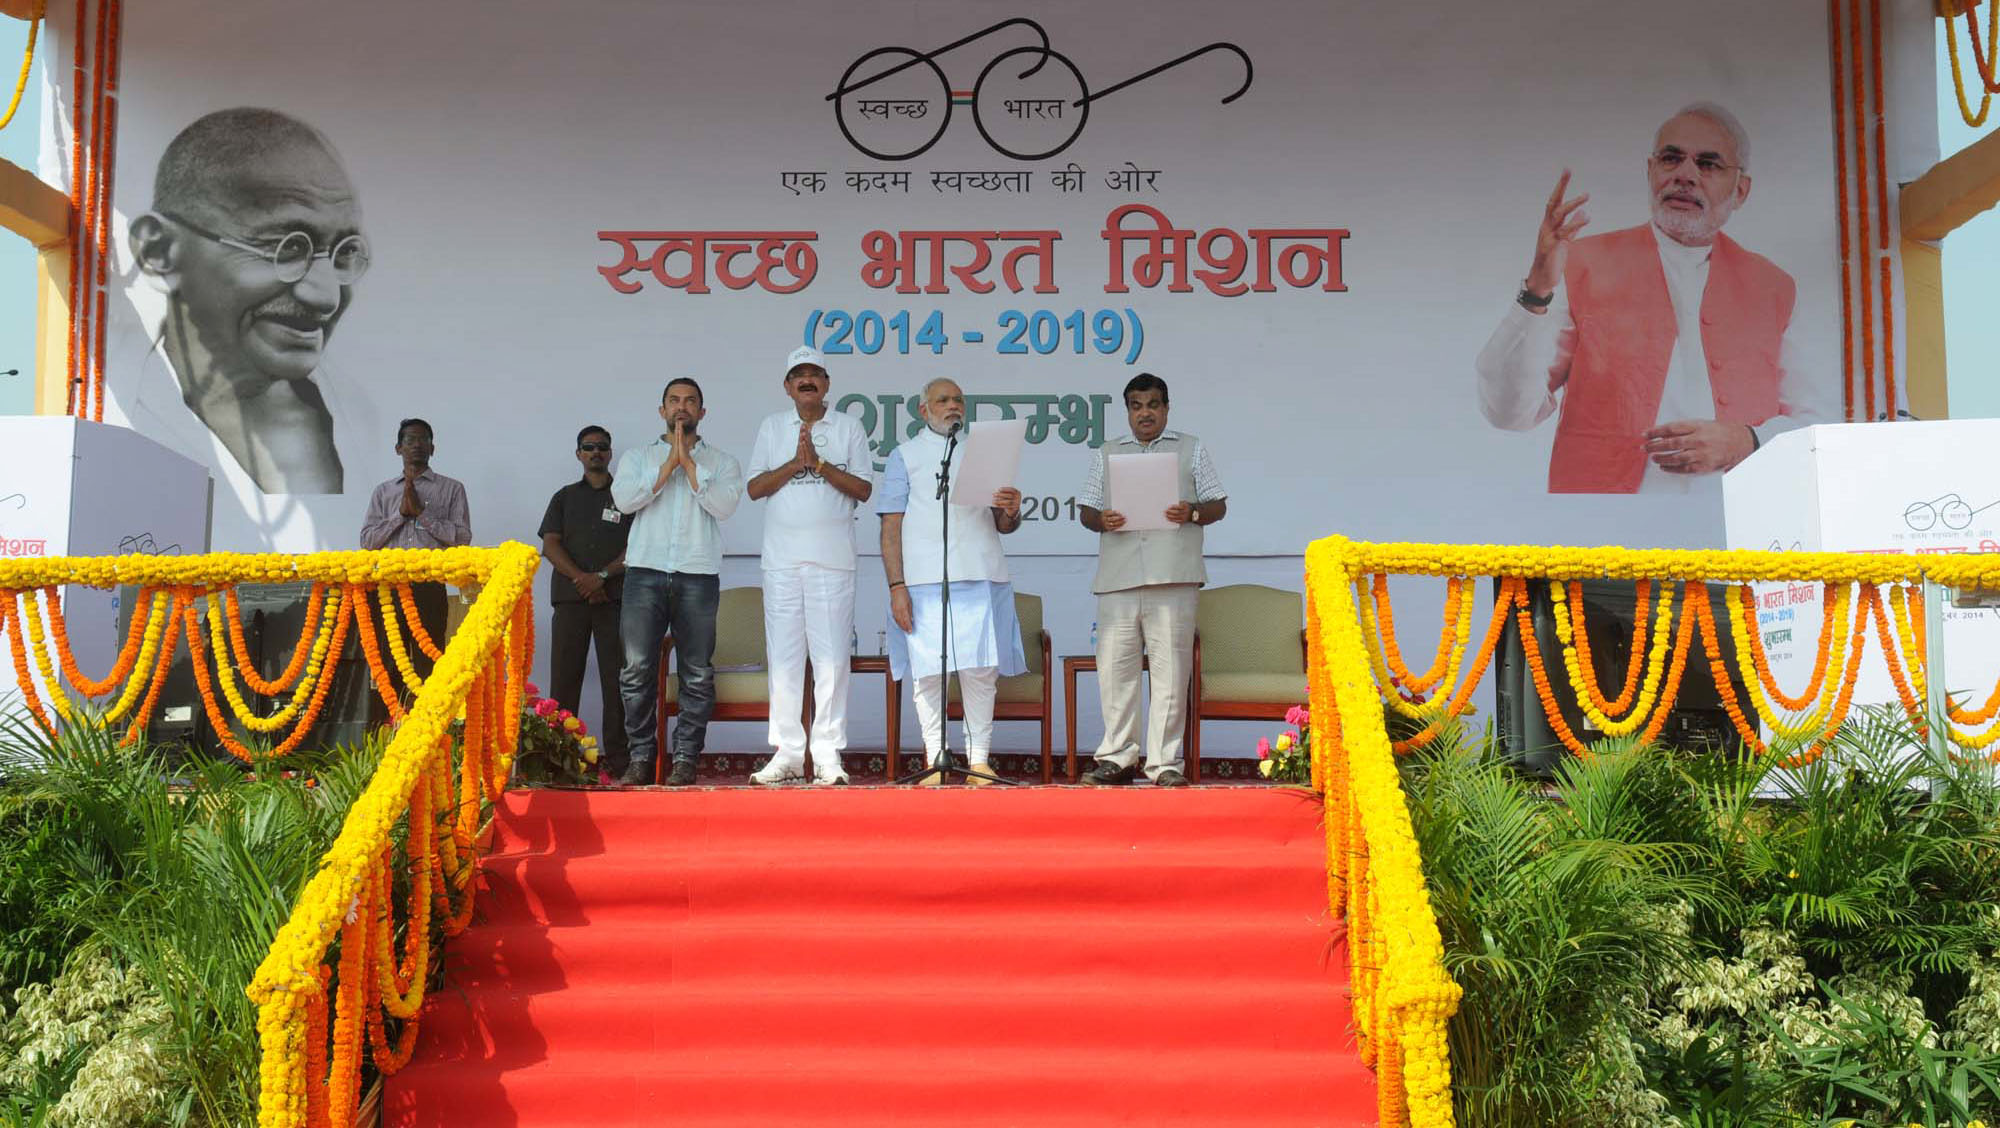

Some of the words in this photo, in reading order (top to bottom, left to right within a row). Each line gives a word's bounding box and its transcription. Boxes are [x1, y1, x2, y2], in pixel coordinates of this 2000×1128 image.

[857, 92, 934, 126] स्वच्छ
[997, 93, 1069, 120] भारत
[776, 166, 829, 199] एक
[842, 165, 913, 197] कदम
[924, 162, 1038, 199] स्वच्छता
[1048, 155, 1089, 198] की
[1102, 161, 1165, 199] ओर
[595, 223, 823, 306] स्वच्छ
[857, 219, 1067, 299] भारत
[1093, 193, 1359, 300] मिशन
[815, 295, 951, 361] 2014
[988, 302, 1130, 361] 2019